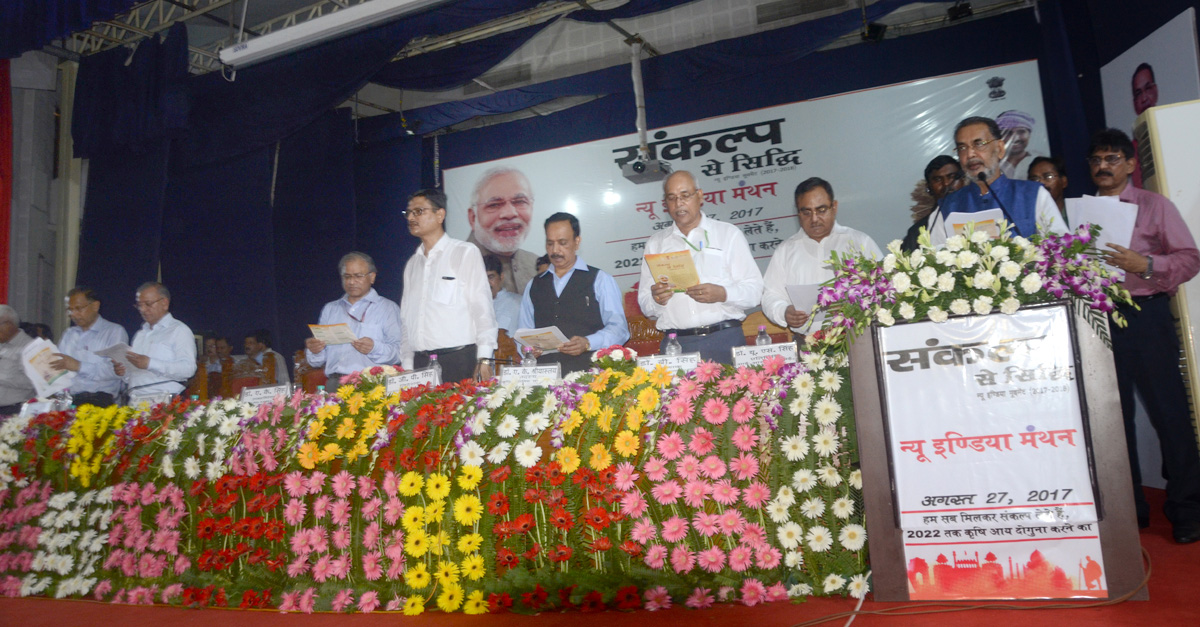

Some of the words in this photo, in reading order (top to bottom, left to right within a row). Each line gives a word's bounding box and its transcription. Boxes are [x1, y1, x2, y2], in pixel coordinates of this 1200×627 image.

[611, 111, 789, 182] रॉकल्प
[697, 154, 725, 179] से
[729, 146, 802, 175] सिद्धि
[698, 187, 726, 208] या
[729, 176, 783, 205] मंथन
[632, 196, 661, 224] न्यू
[881, 331, 1049, 380] संकल्प
[970, 362, 1004, 395] सेे
[999, 356, 1080, 389] सिहिर
[897, 435, 937, 466] न्यू
[926, 429, 1012, 463] इण्डिया
[1020, 424, 1078, 452] मंथन
[920, 489, 979, 510] अगस्त
[982, 488, 1014, 507] 27,
[1026, 486, 1073, 503] 2017
[902, 524, 943, 544] 2022
[920, 510, 941, 528] हम
[937, 509, 962, 527] सब
[941, 523, 963, 543] तक
[959, 517, 989, 541] कृषि
[956, 503, 1000, 527] मिलकर
[984, 519, 1015, 542] आय
[992, 505, 1035, 527] संकल्प
[1009, 516, 1049, 543] दोगुना
[1045, 518, 1078, 541] करने
[1049, 501, 1075, 525] हैं,
[1072, 519, 1096, 538] का